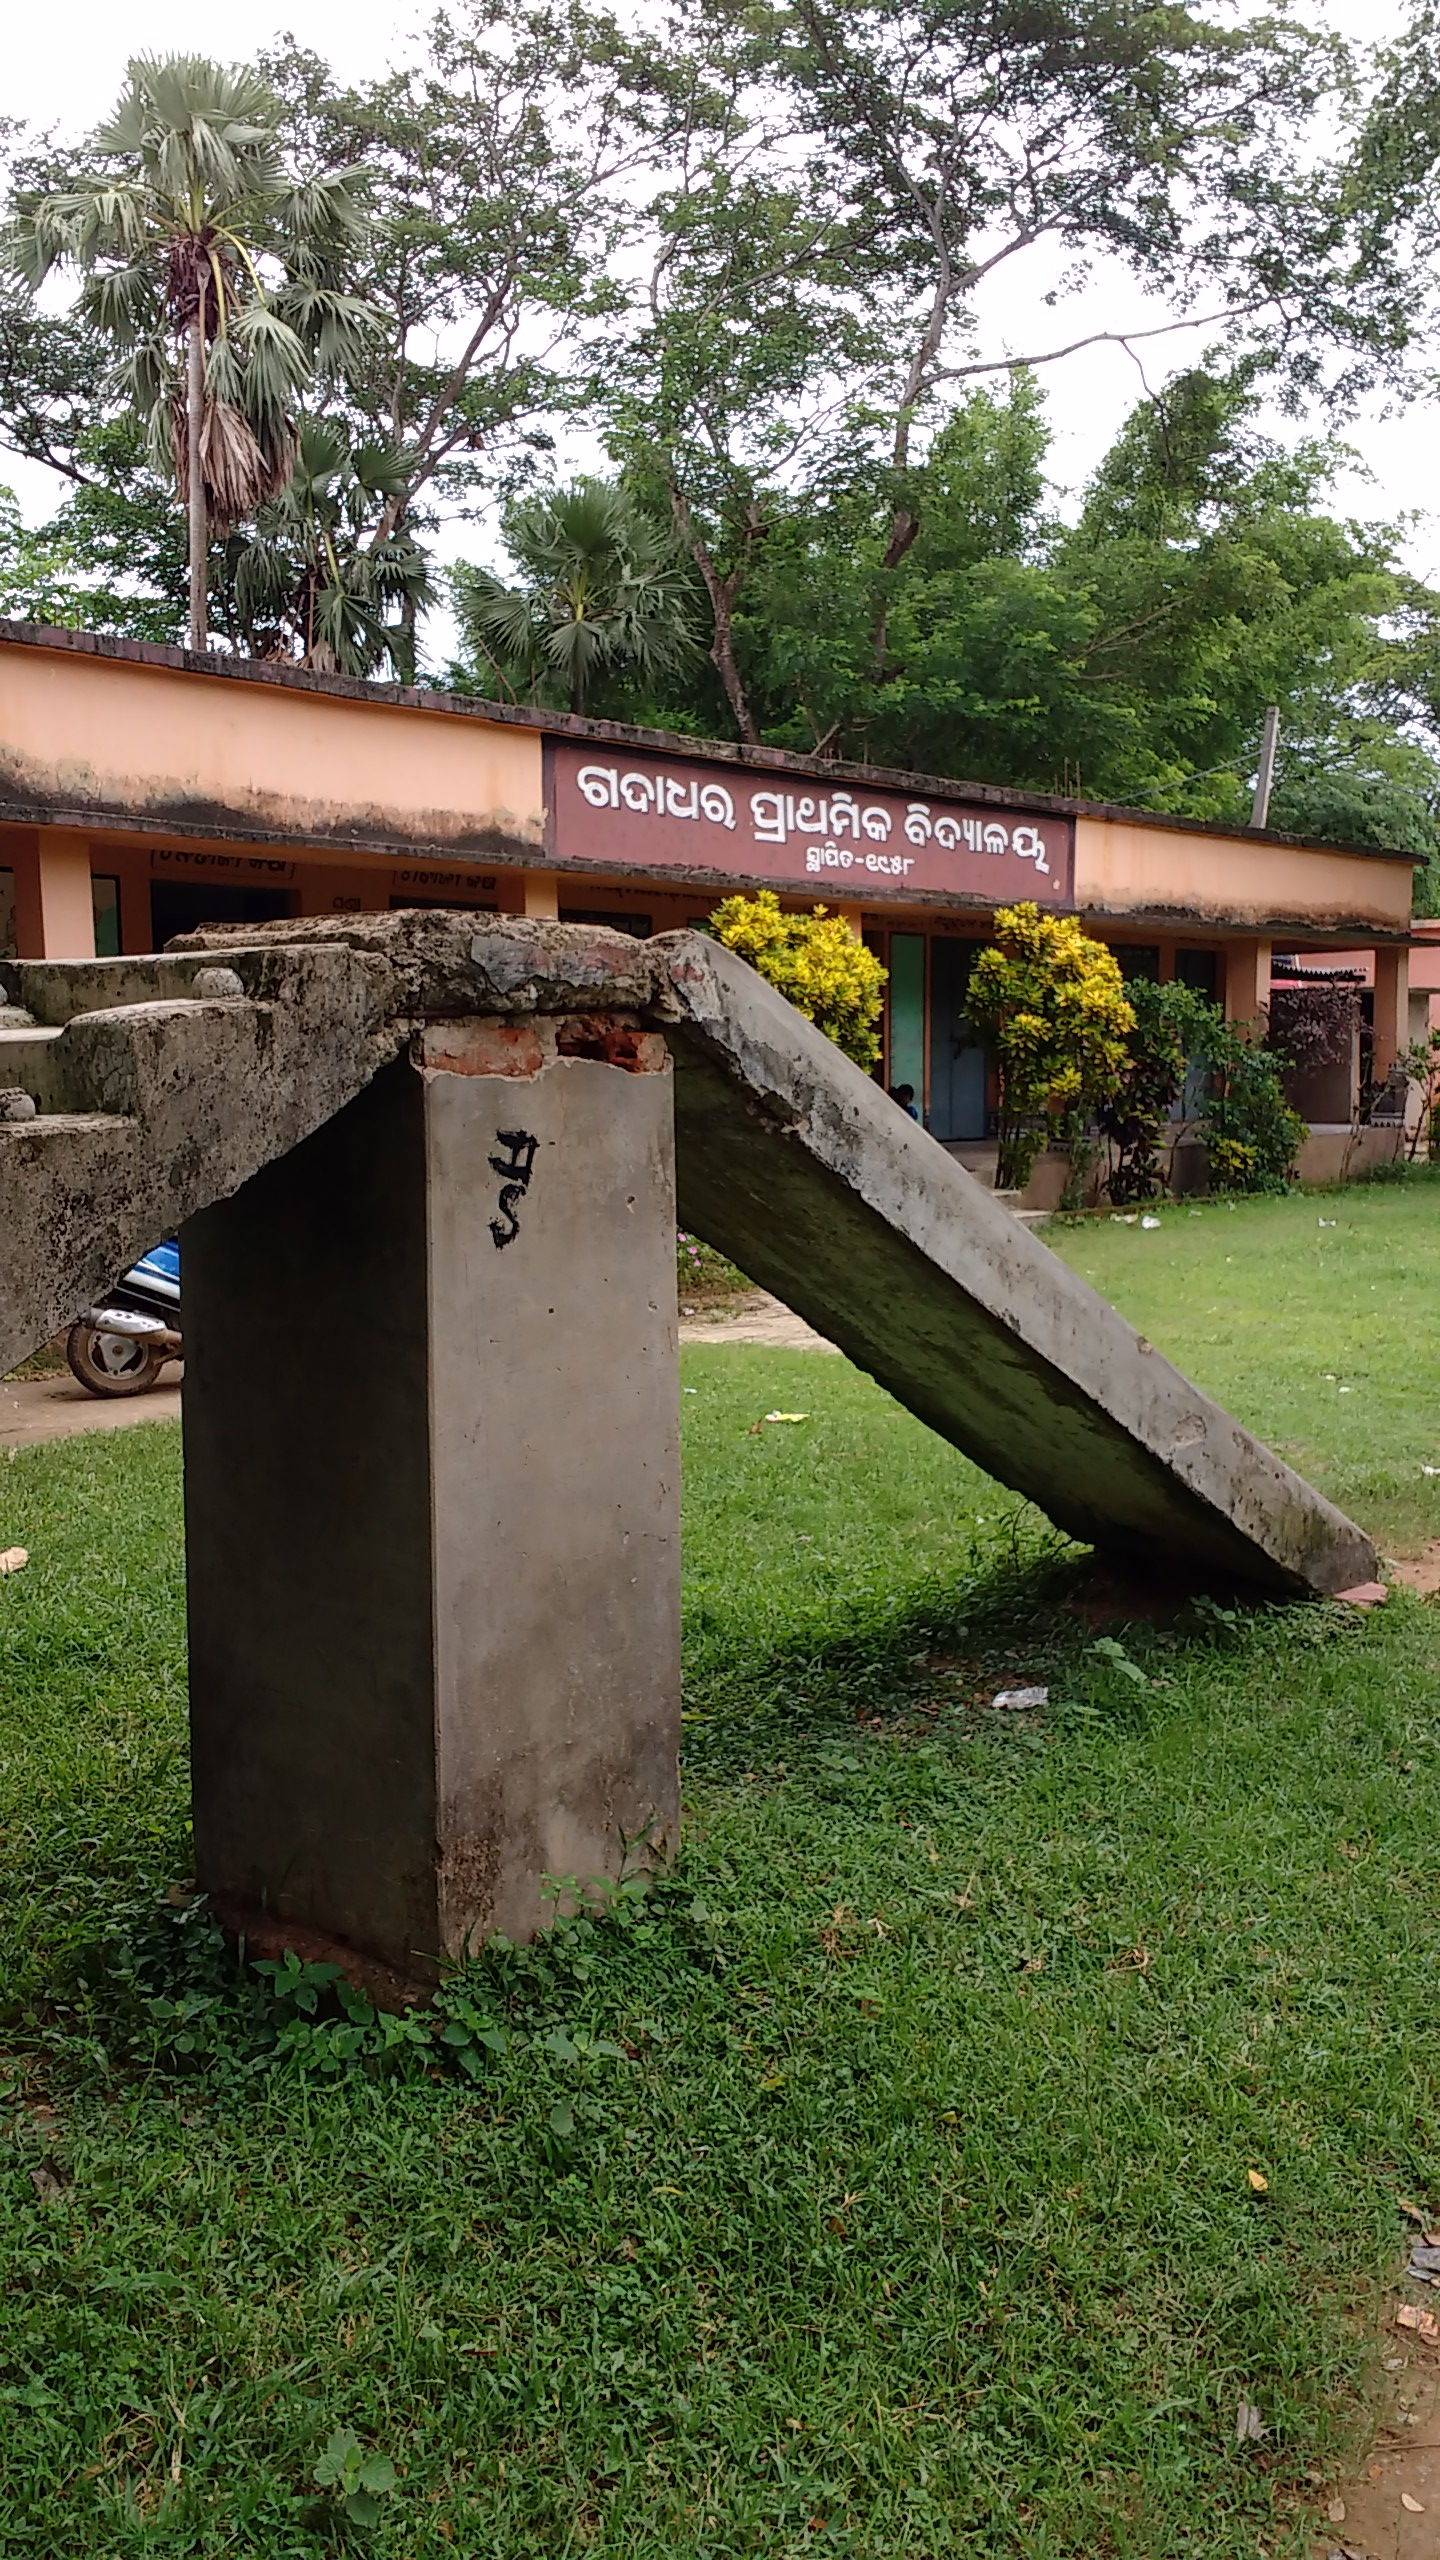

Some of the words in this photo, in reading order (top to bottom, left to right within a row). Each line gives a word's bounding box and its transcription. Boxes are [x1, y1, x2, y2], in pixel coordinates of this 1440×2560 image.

[570, 759, 740, 831] ଗଦାଧର
[748, 779, 899, 850] ପ୍ରାଥମିକ
[800, 838, 924, 878] ସ୍ଥାପିତ-୧୯୫୮
[895, 796, 1054, 878] ବିଦ୍ୟାଳୟ